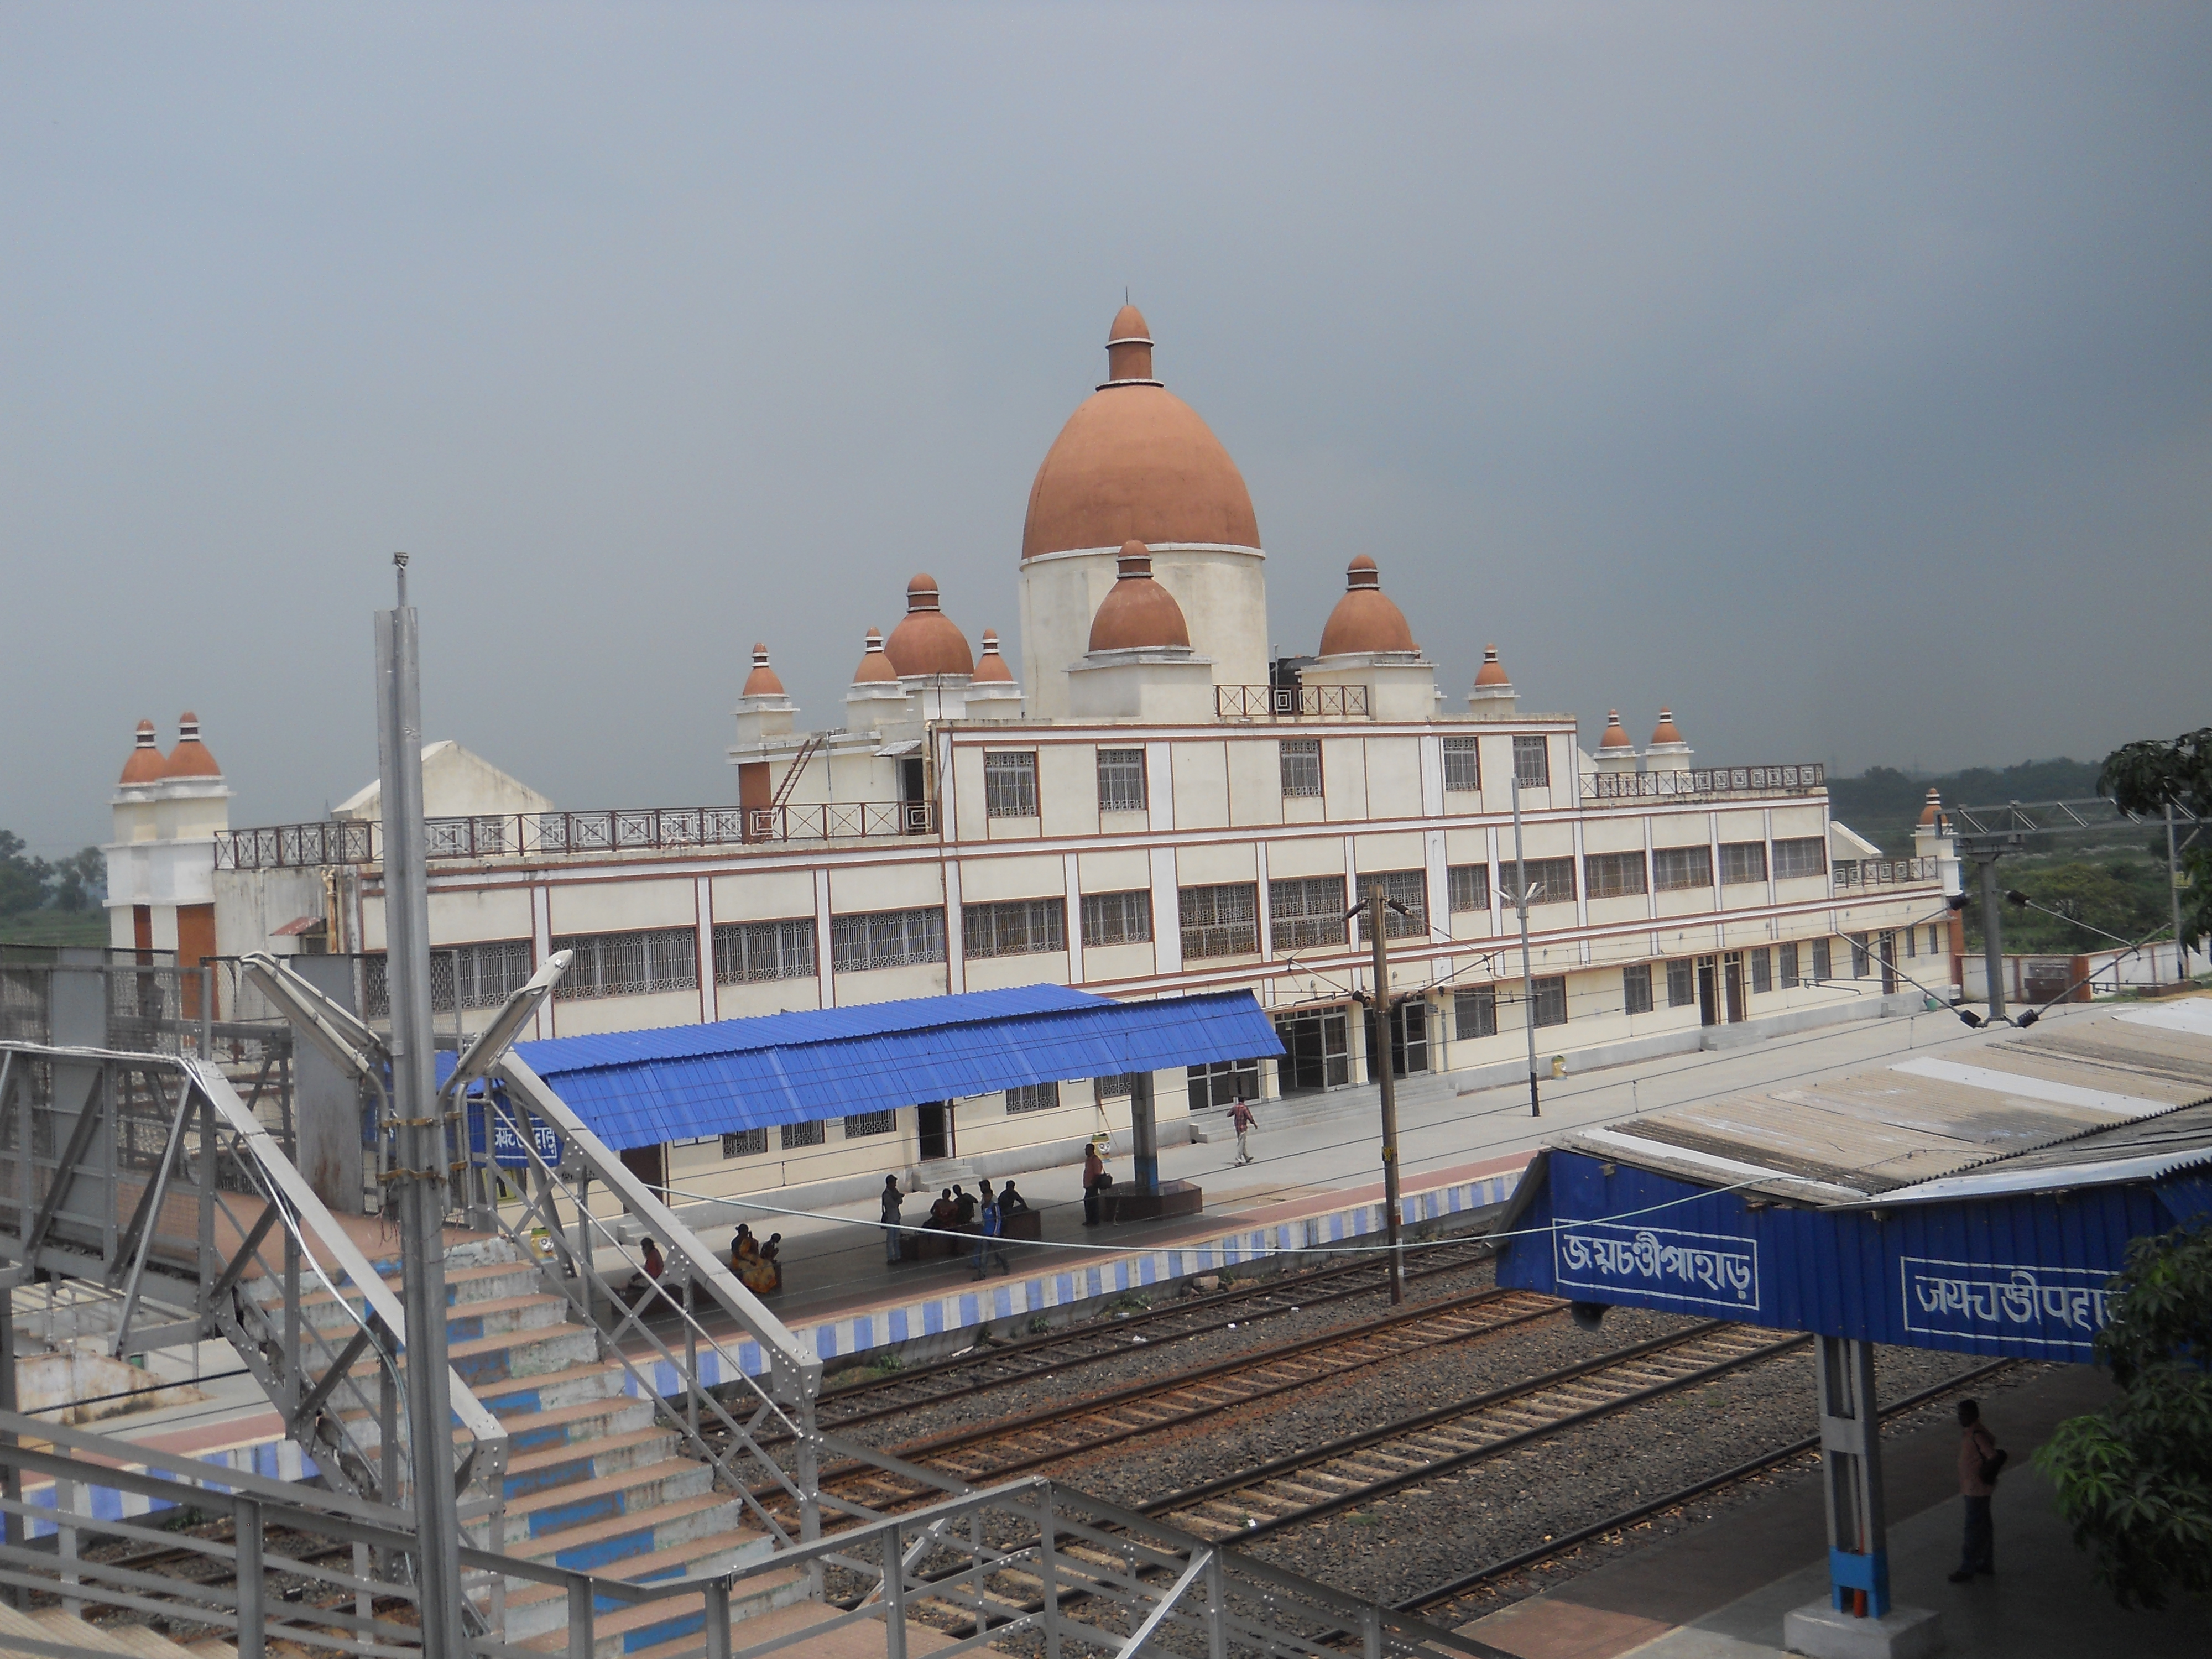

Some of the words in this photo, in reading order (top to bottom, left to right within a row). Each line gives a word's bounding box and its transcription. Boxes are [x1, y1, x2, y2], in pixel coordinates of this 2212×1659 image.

[1553, 1224, 1763, 1304] জয়ঢণ্ডীগাহাড়
[1911, 1264, 2128, 1339] जयचण्डी पहाड़